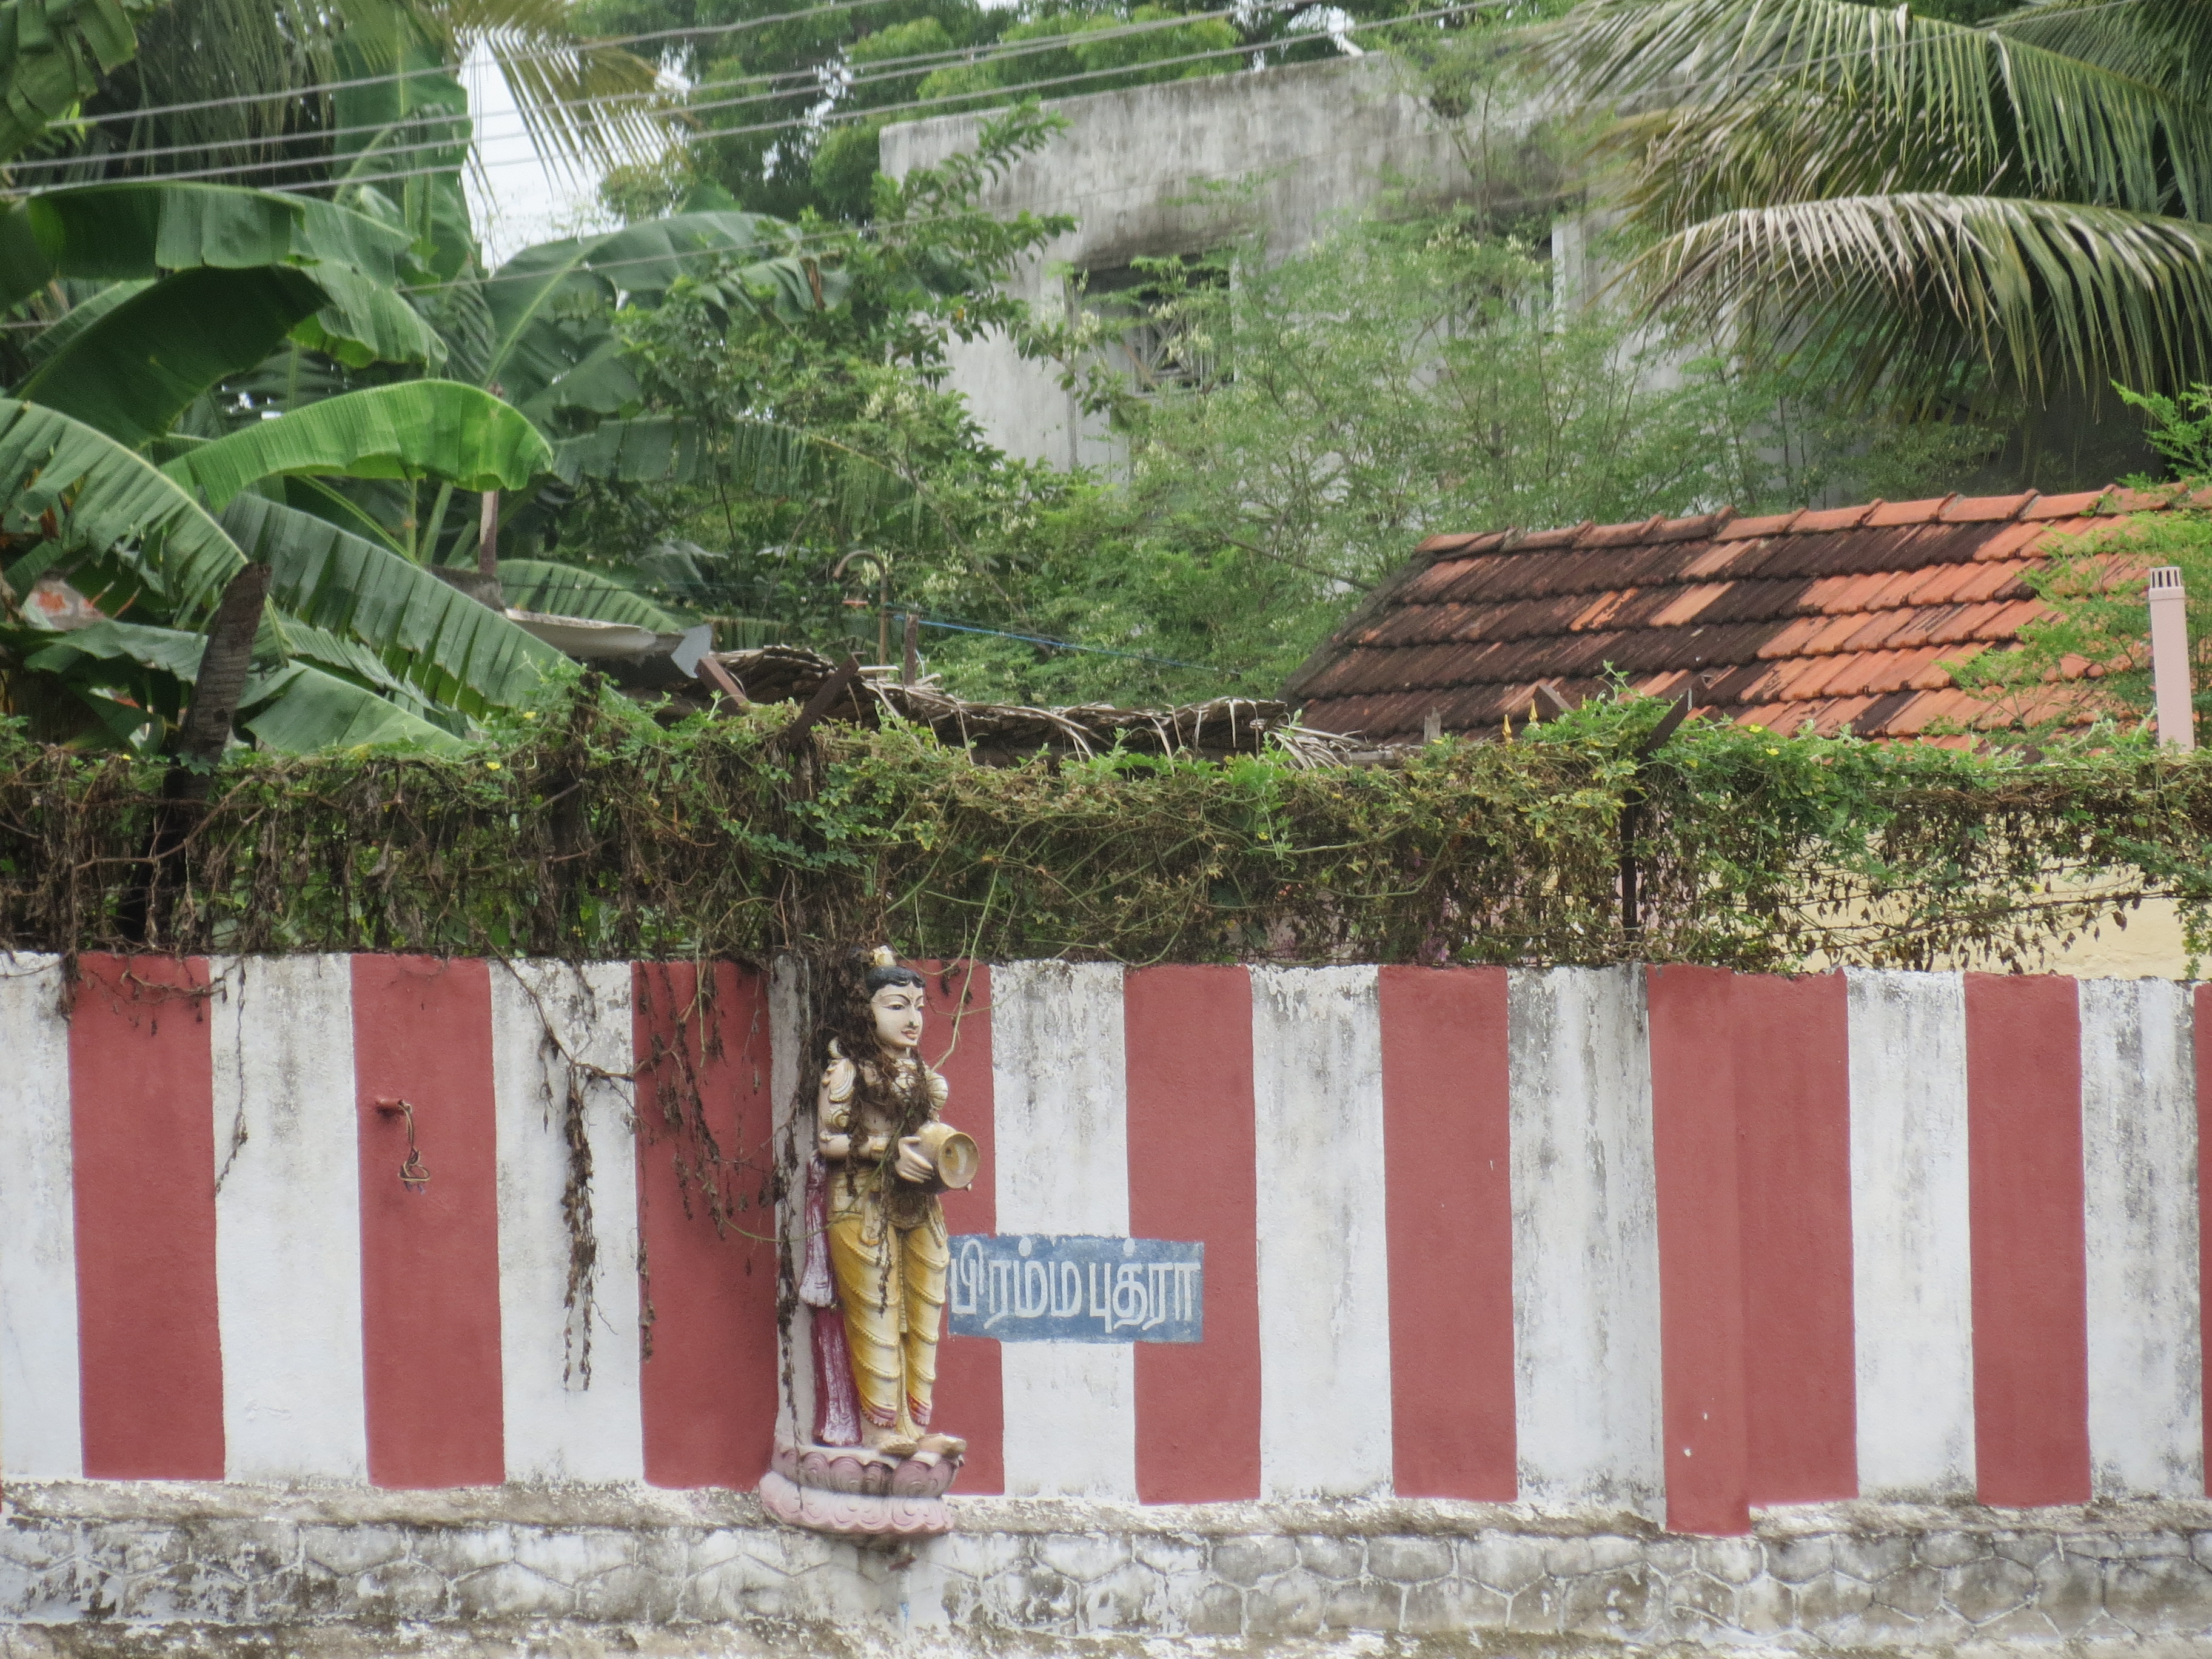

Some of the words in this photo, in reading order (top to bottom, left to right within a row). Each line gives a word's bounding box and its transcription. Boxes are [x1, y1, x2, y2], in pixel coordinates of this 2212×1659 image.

[946, 1228, 1089, 1336] பிரம்ம
[1081, 1227, 1201, 1340] புத்ரா